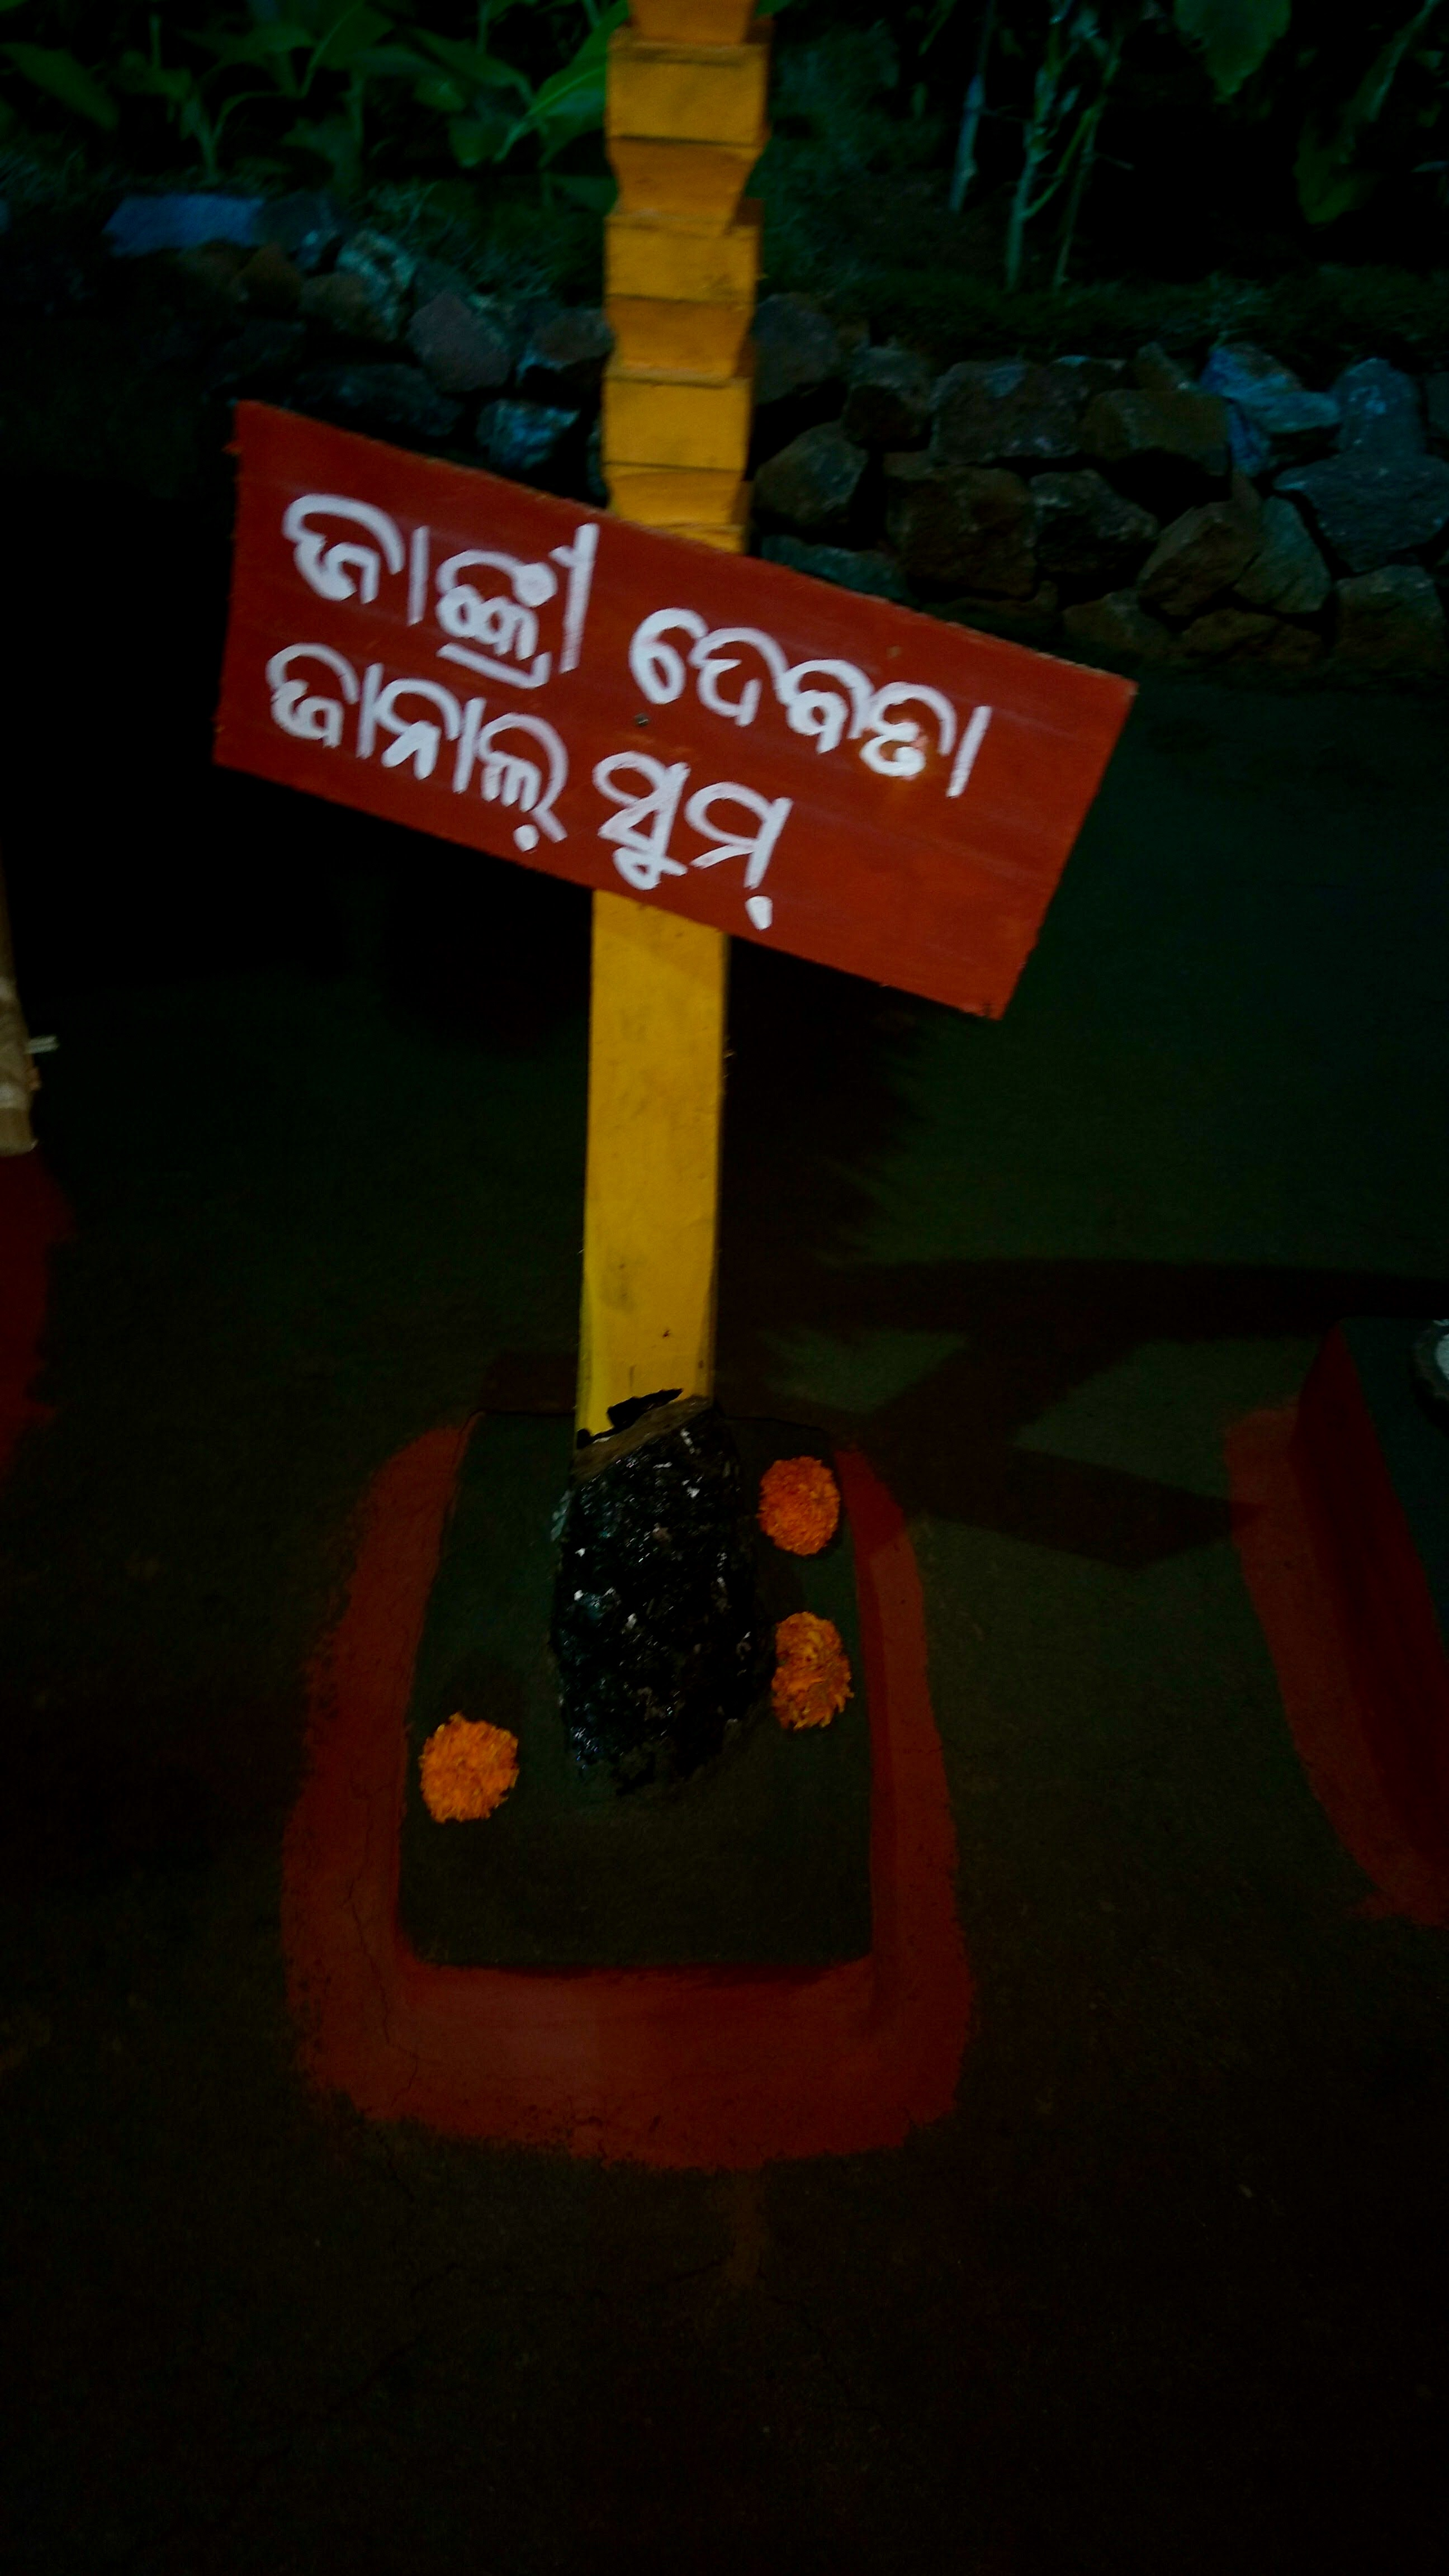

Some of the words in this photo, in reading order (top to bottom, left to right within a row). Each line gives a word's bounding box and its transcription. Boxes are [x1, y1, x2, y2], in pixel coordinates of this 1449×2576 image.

[269, 479, 605, 694] ଜାଙ୍କ୍ଷା
[255, 632, 579, 858] ଜାନାଲ୍
[575, 742, 797, 934] ସ୍ଟମ୍
[623, 590, 1000, 808] ଦେବତା